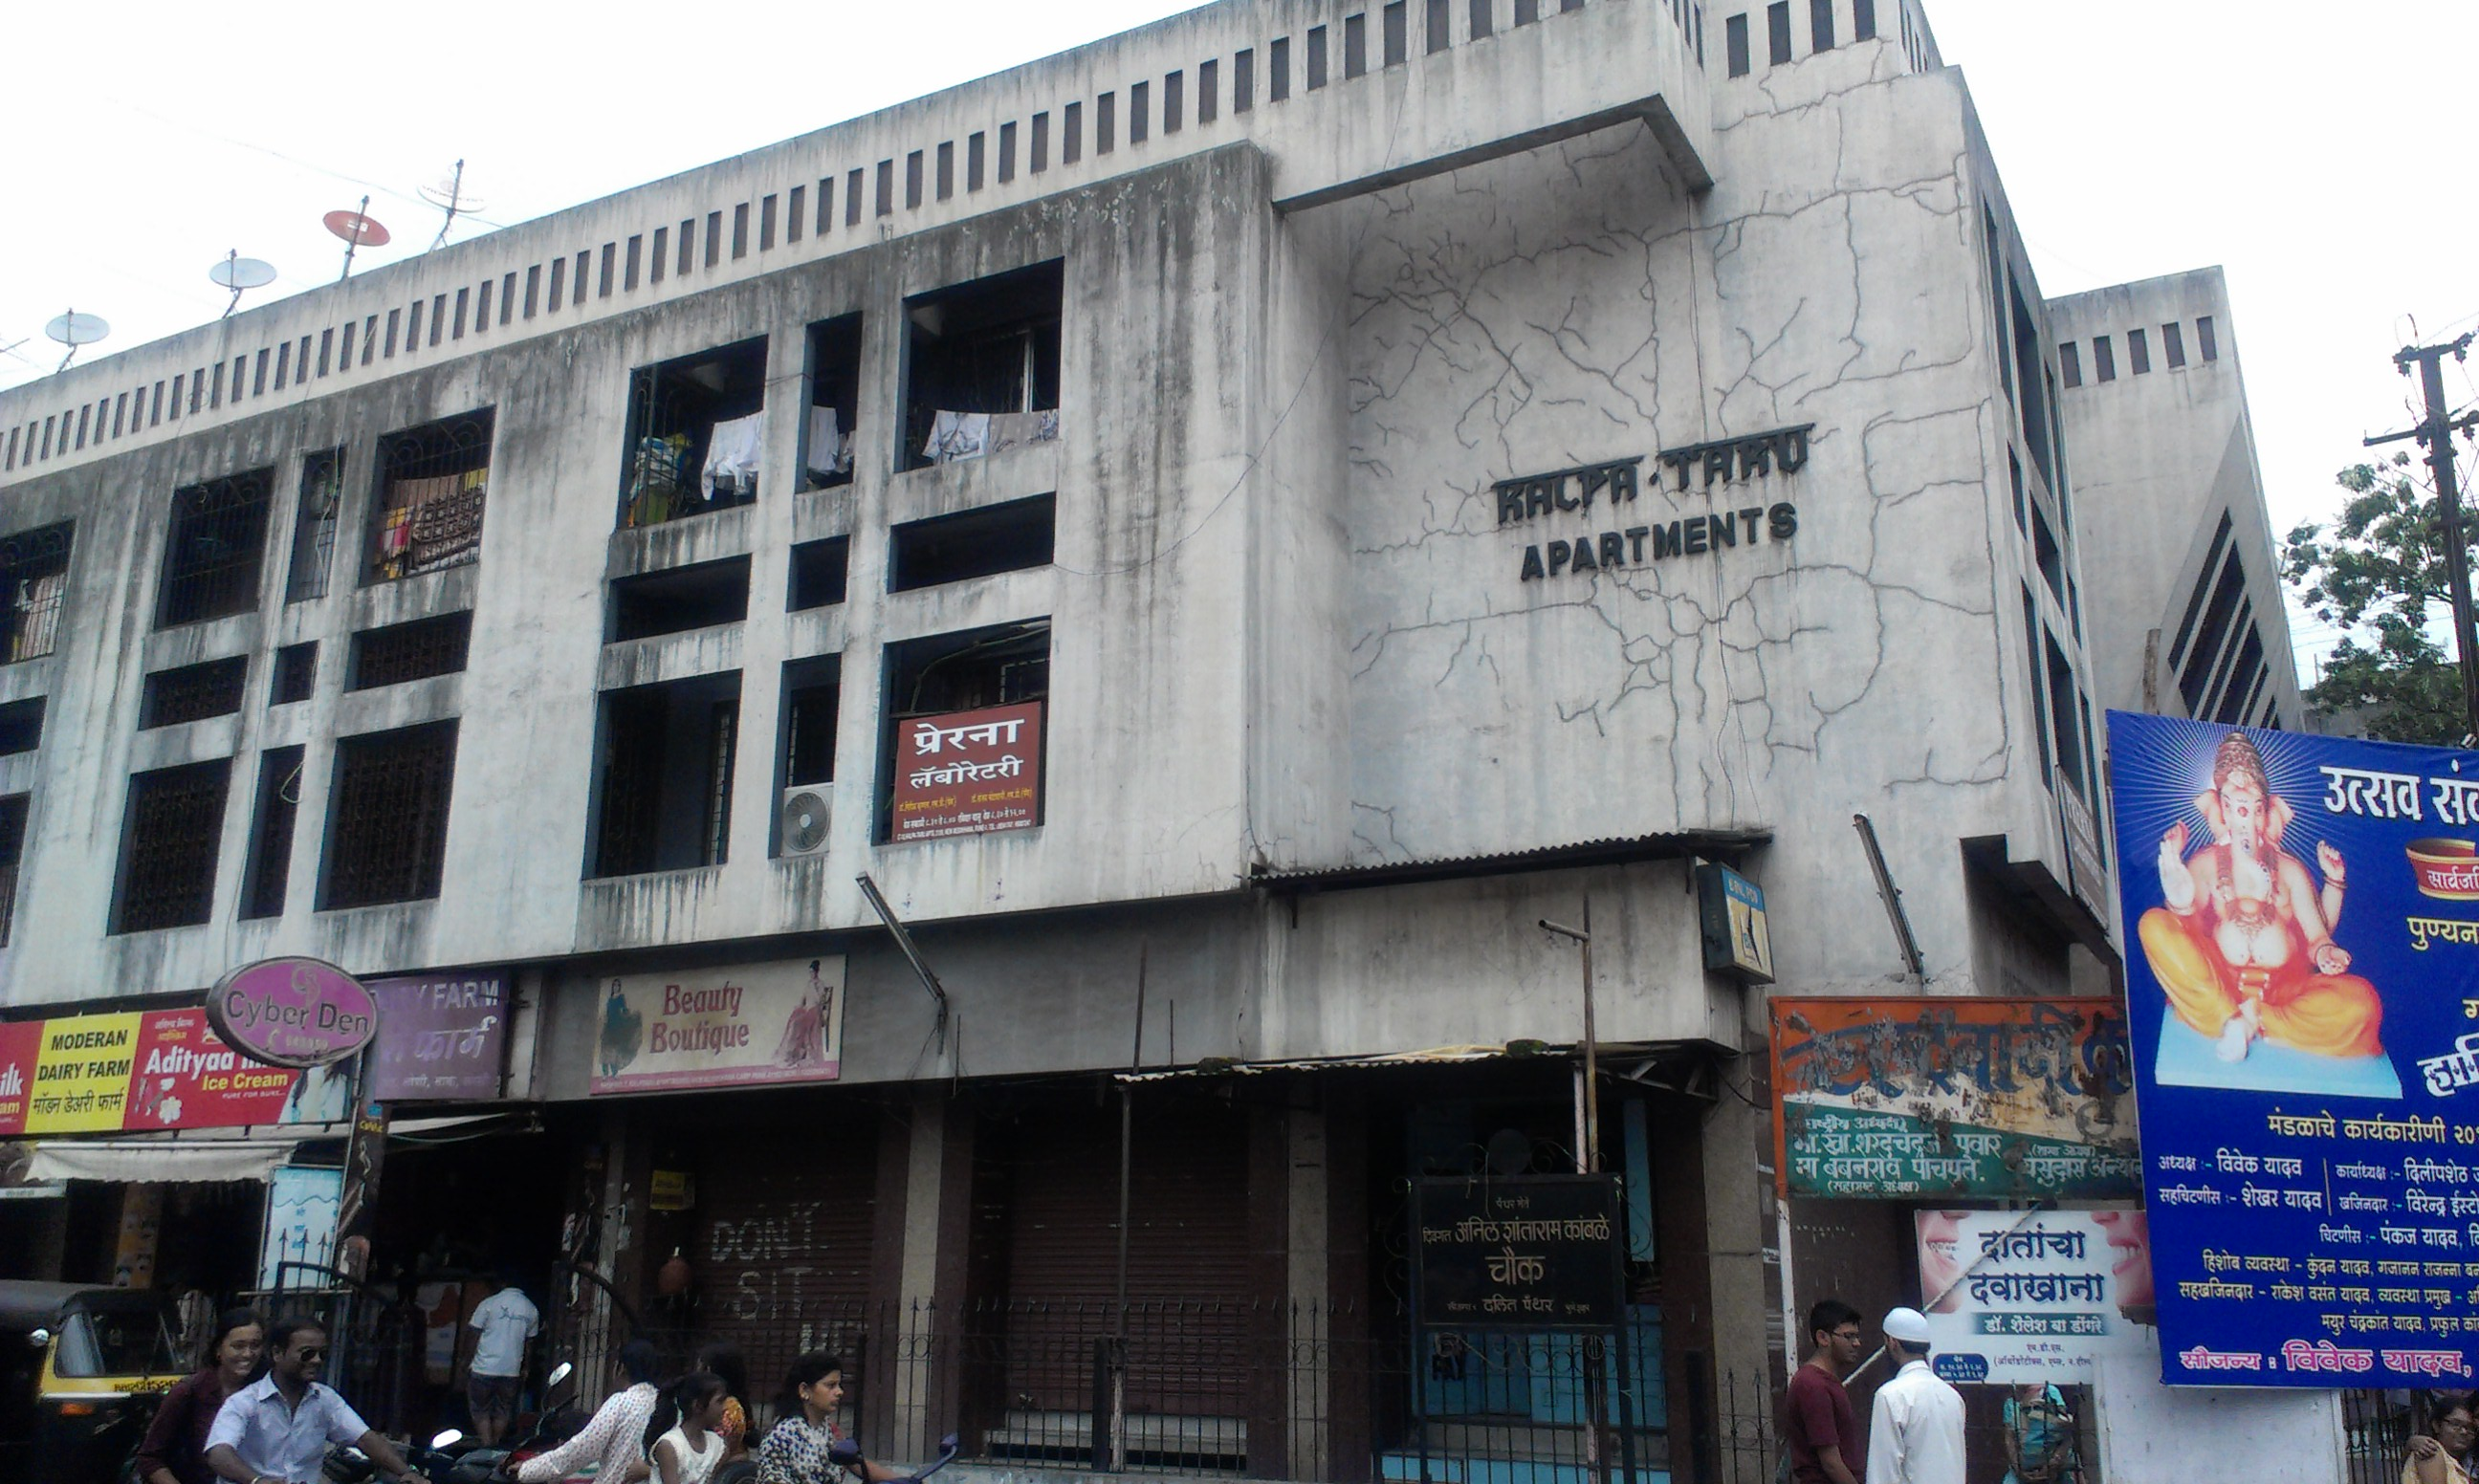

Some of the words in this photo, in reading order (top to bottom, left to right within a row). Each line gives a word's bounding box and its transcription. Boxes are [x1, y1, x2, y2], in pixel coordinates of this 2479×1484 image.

[1485, 389, 1846, 538] KALPA-TARO
[1511, 492, 1808, 587] APARTMENTS
[903, 712, 1032, 760] प्रेरना
[904, 748, 1030, 794] लॅबोरेटरी
[2314, 759, 2428, 825] उत्सव
[2400, 909, 2478, 963] पुण्यन
[222, 986, 316, 1035] Cyber
[314, 1001, 373, 1037] Den
[427, 976, 506, 1015] FARM
[660, 972, 749, 1020] Beauty
[47, 1026, 132, 1054] MODERAN
[408, 1013, 500, 1066] फार्म
[644, 1014, 757, 1062] Boutique
[28, 1086, 63, 1122] मॉडन
[33, 1059, 87, 1085] DAIRY
[60, 1086, 97, 1121] डेअरी
[81, 1054, 134, 1083] FARM
[94, 1082, 129, 1117] फार्म
[139, 1041, 239, 1085] Adityaa
[199, 1071, 230, 1095] Ice
[230, 1068, 292, 1091] Cream
[1819, 1148, 1906, 1185] बबनराव
[1951, 1126, 2008, 1162] पवार
[2151, 1146, 2215, 1176] अध्यक्ष:-
[2211, 1143, 2260, 1179] विवेक
[2262, 1145, 2309, 1185] यादव
[2264, 1102, 2340, 1145] मंडळाचे
[2331, 1153, 2403, 1186] कार्याध्यक्ष :-
[2338, 1110, 2450, 1148] कार्यकारीणी
[2400, 1153, 2470, 1187] दिलीपशेठ
[2153, 1179, 2241, 1209] सहचिटणीस:-
[2237, 1177, 2283, 1215] शेखर
[2281, 1184, 2324, 1216] यादव
[2336, 1187, 2404, 1215] खजिनदार:-
[2402, 1185, 2449, 1219] विरेन्द्र
[707, 1190, 833, 1270] DON
[1419, 1225, 1454, 1250] दिवंगत
[1453, 1211, 1502, 1253] अनिल
[1499, 1213, 1563, 1245] शांताराम
[1562, 1211, 1612, 1245] कांबळे
[1974, 1216, 2095, 1265] दातांचा
[2311, 1216, 2379, 1250] चिटणीस:-
[2376, 1217, 2420, 1253] पंकज
[2419, 1223, 2467, 1256] यादव,
[1474, 1244, 1562, 1291] चौक
[2197, 1242, 2242, 1276] हिशोब
[2242, 1252, 2305, 1277] व्यवस्था-
[2302, 1248, 2337, 1281] कुंदन
[2338, 1254, 2377, 1284] यादव,
[2377, 1255, 2422, 1285] गजानन
[2421, 1257, 2467, 1282] राजन्ना
[726, 1257, 825, 1326] SIT
[1480, 1290, 1519, 1317] दलित
[1520, 1290, 1557, 1317] पँथर
[1963, 1270, 2109, 1309] दवाखाना
[2170, 1275, 2269, 1312] सहखजिनदार-
[2268, 1277, 2308, 1306] राकेश
[2304, 1278, 2337, 1306] वसंत
[2337, 1283, 2377, 1307] यादव,
[2375, 1284, 2424, 1307] व्यवस्था
[2422, 1282, 2467, 1312] प्रमुख-
[1978, 1311, 2007, 1335] डाॅ.
[2006, 1314, 2049, 1337] शैलेश
[2049, 1310, 2070, 1338] वा
[2069, 1308, 2109, 1340] डोंगरे
[2314, 1309, 2348, 1337] मयुर
[2347, 1306, 2392, 1337] चंद्रकांत
[2390, 1311, 2428, 1340] यादव
[2426, 1313, 2463, 1342] प्रफुल
[2175, 1338, 2283, 1381] सौजन्यः
[2276, 1332, 2378, 1380] विवेक
[2379, 1342, 2475, 1386] यादव,